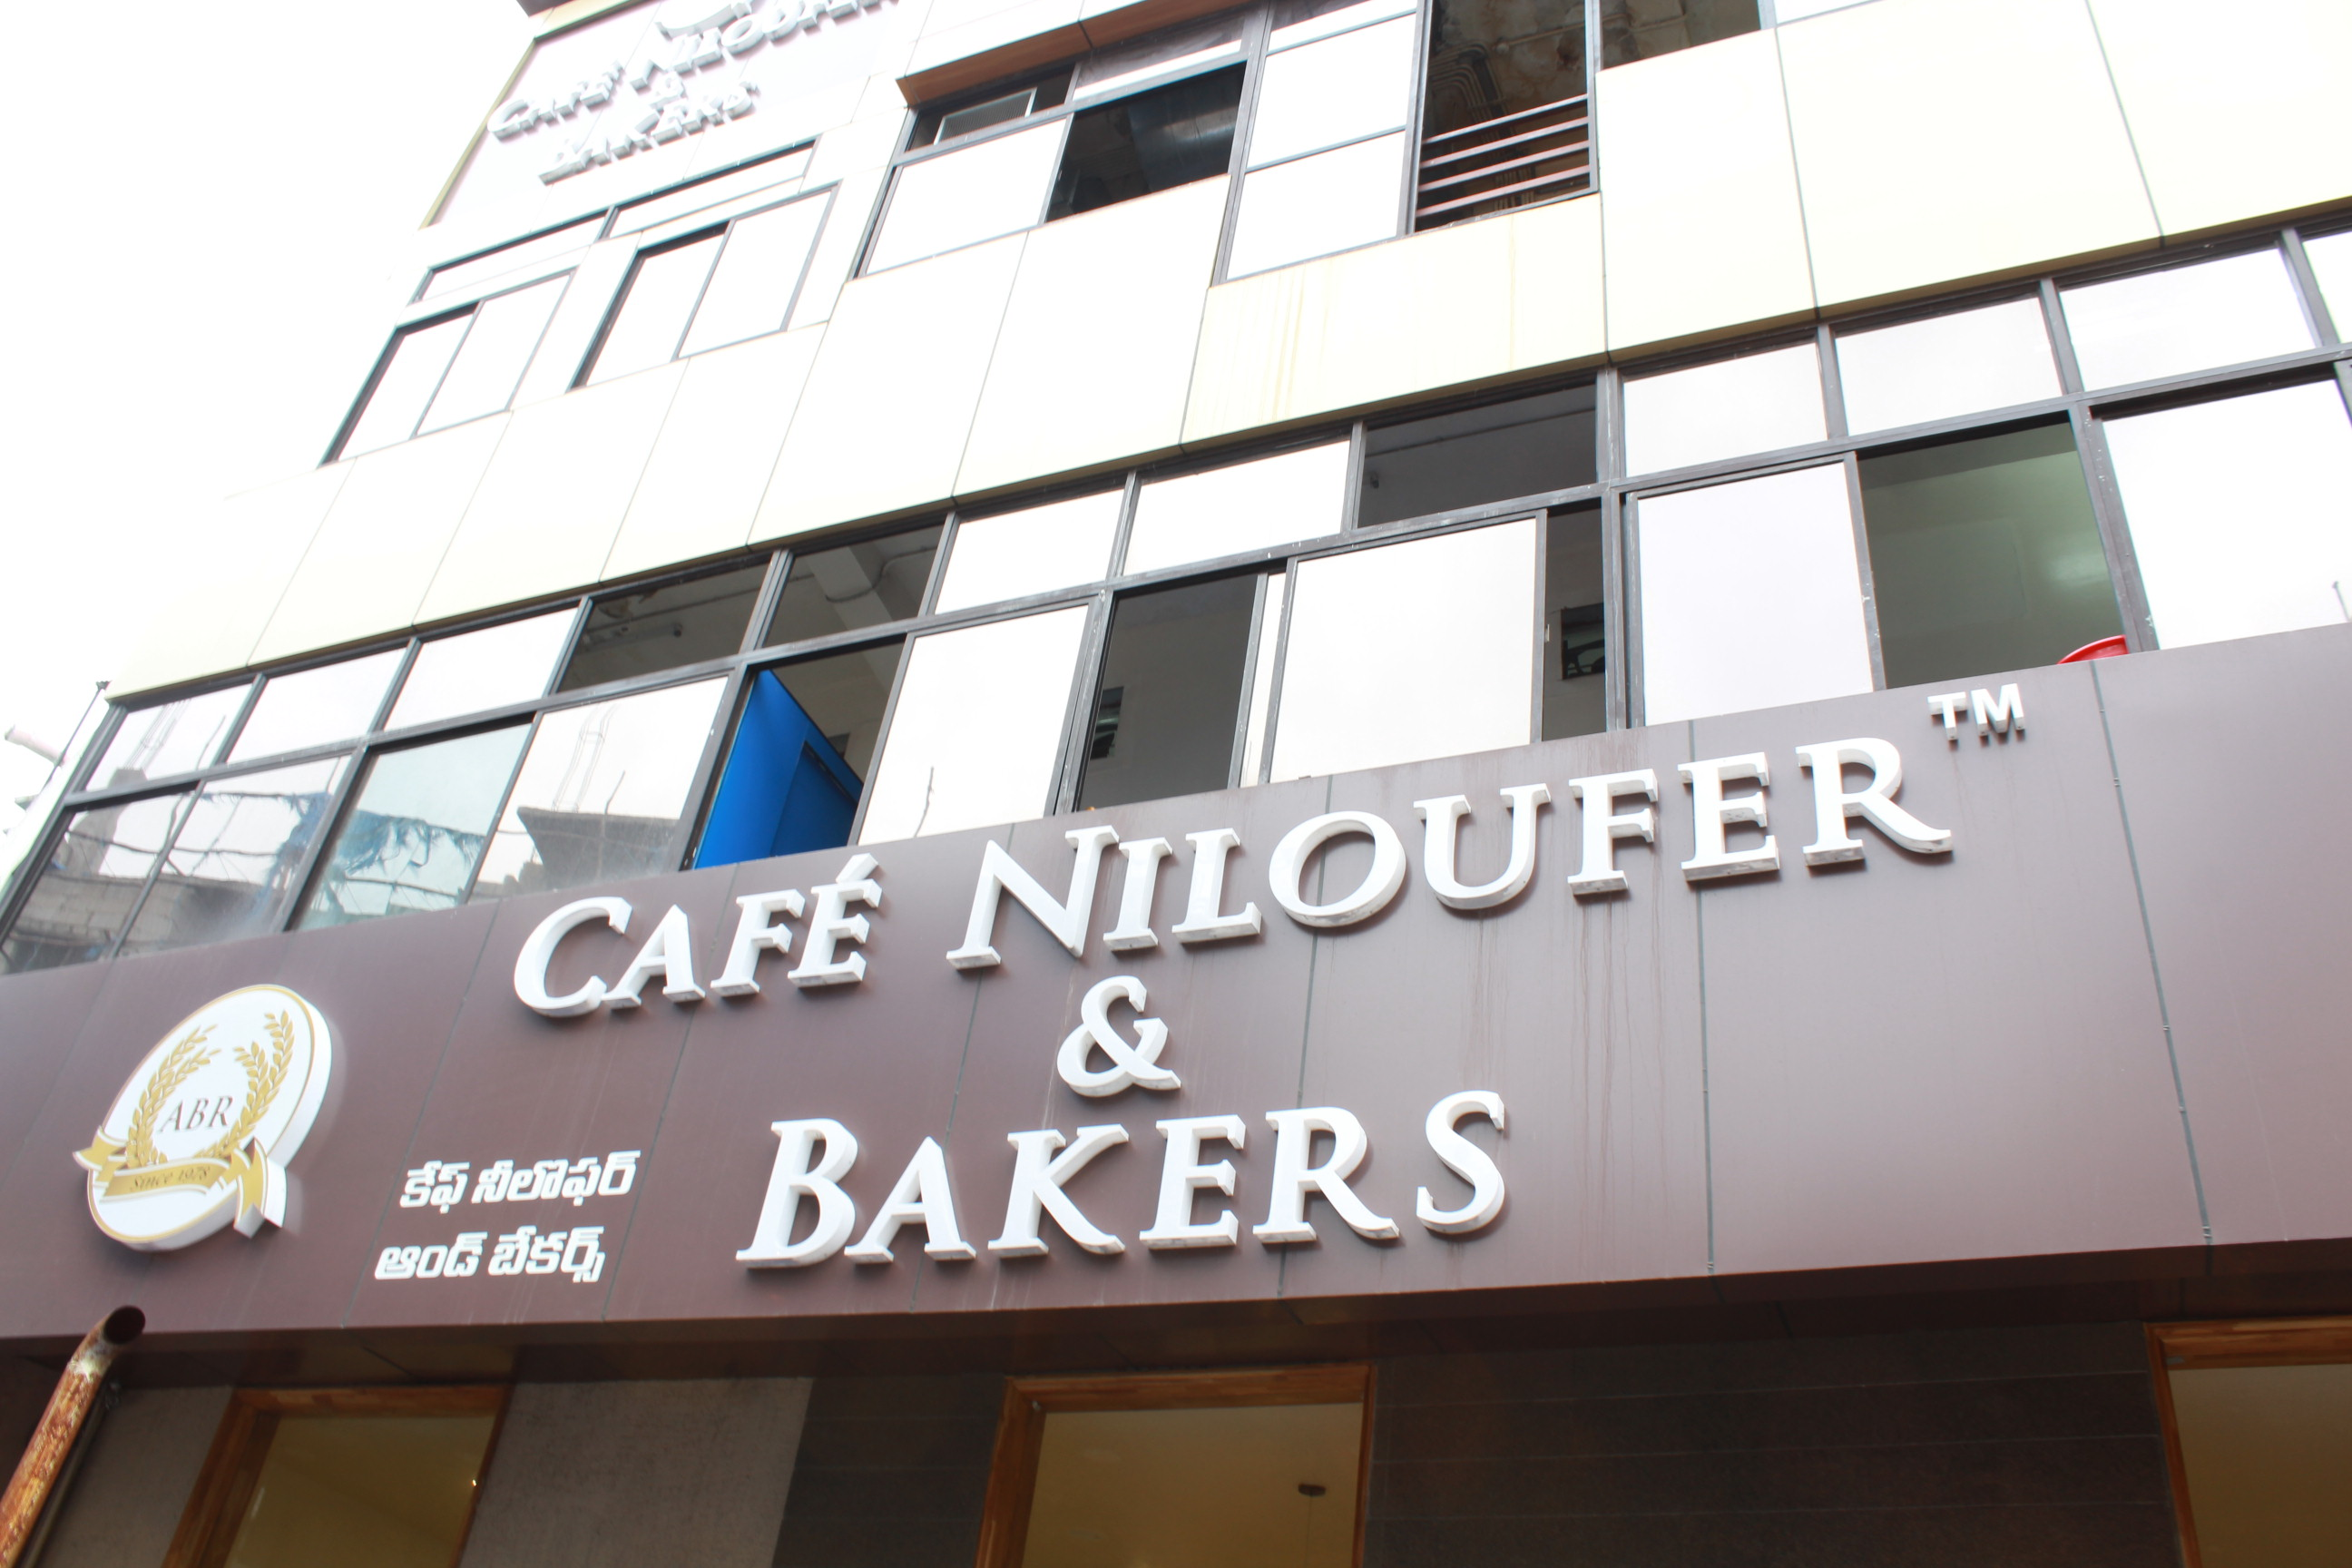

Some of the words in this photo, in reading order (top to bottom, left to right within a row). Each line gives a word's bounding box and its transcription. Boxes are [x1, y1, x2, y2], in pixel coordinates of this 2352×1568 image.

[482, 52, 629, 152] CAFE
[538, 69, 764, 187] BAKERS
[1915, 675, 2036, 750] TM
[944, 726, 1960, 978] NILOUFER
[499, 850, 894, 1023] CAFE
[1041, 960, 1187, 1109] &
[383, 1148, 479, 1219] కేఫ్
[467, 1141, 644, 1211] నీలొఫర్
[742, 1083, 1515, 1272] BAKERS
[363, 1223, 492, 1284] ఆండ్
[487, 1216, 614, 1291] బేకర్స్